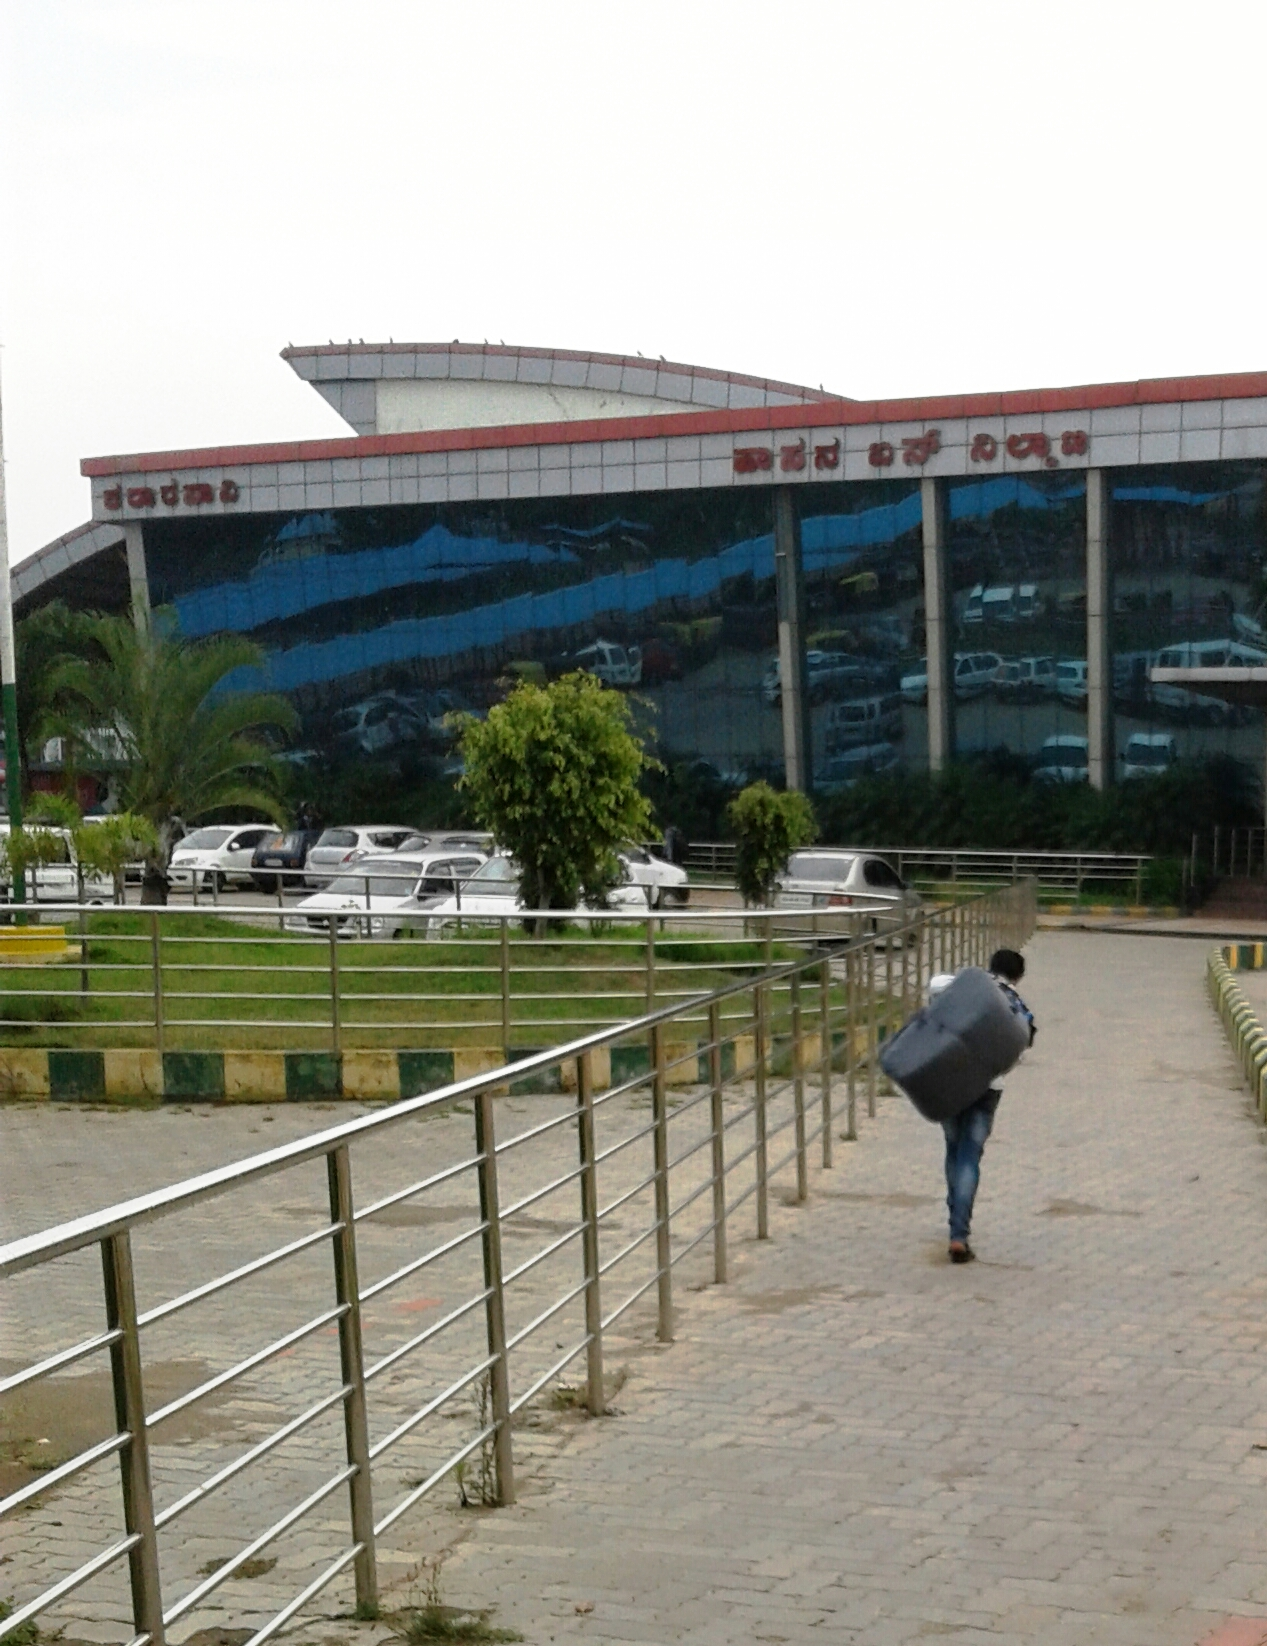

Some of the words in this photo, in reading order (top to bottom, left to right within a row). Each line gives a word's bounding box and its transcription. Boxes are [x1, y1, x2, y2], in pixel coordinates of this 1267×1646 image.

[731, 432, 845, 479] ಪಾಸನ
[863, 420, 946, 472] ಬಸ್
[962, 422, 1093, 470] ನಿಲ್ದಾಣ
[91, 470, 242, 514] ಕರಾರಸಾನಿ